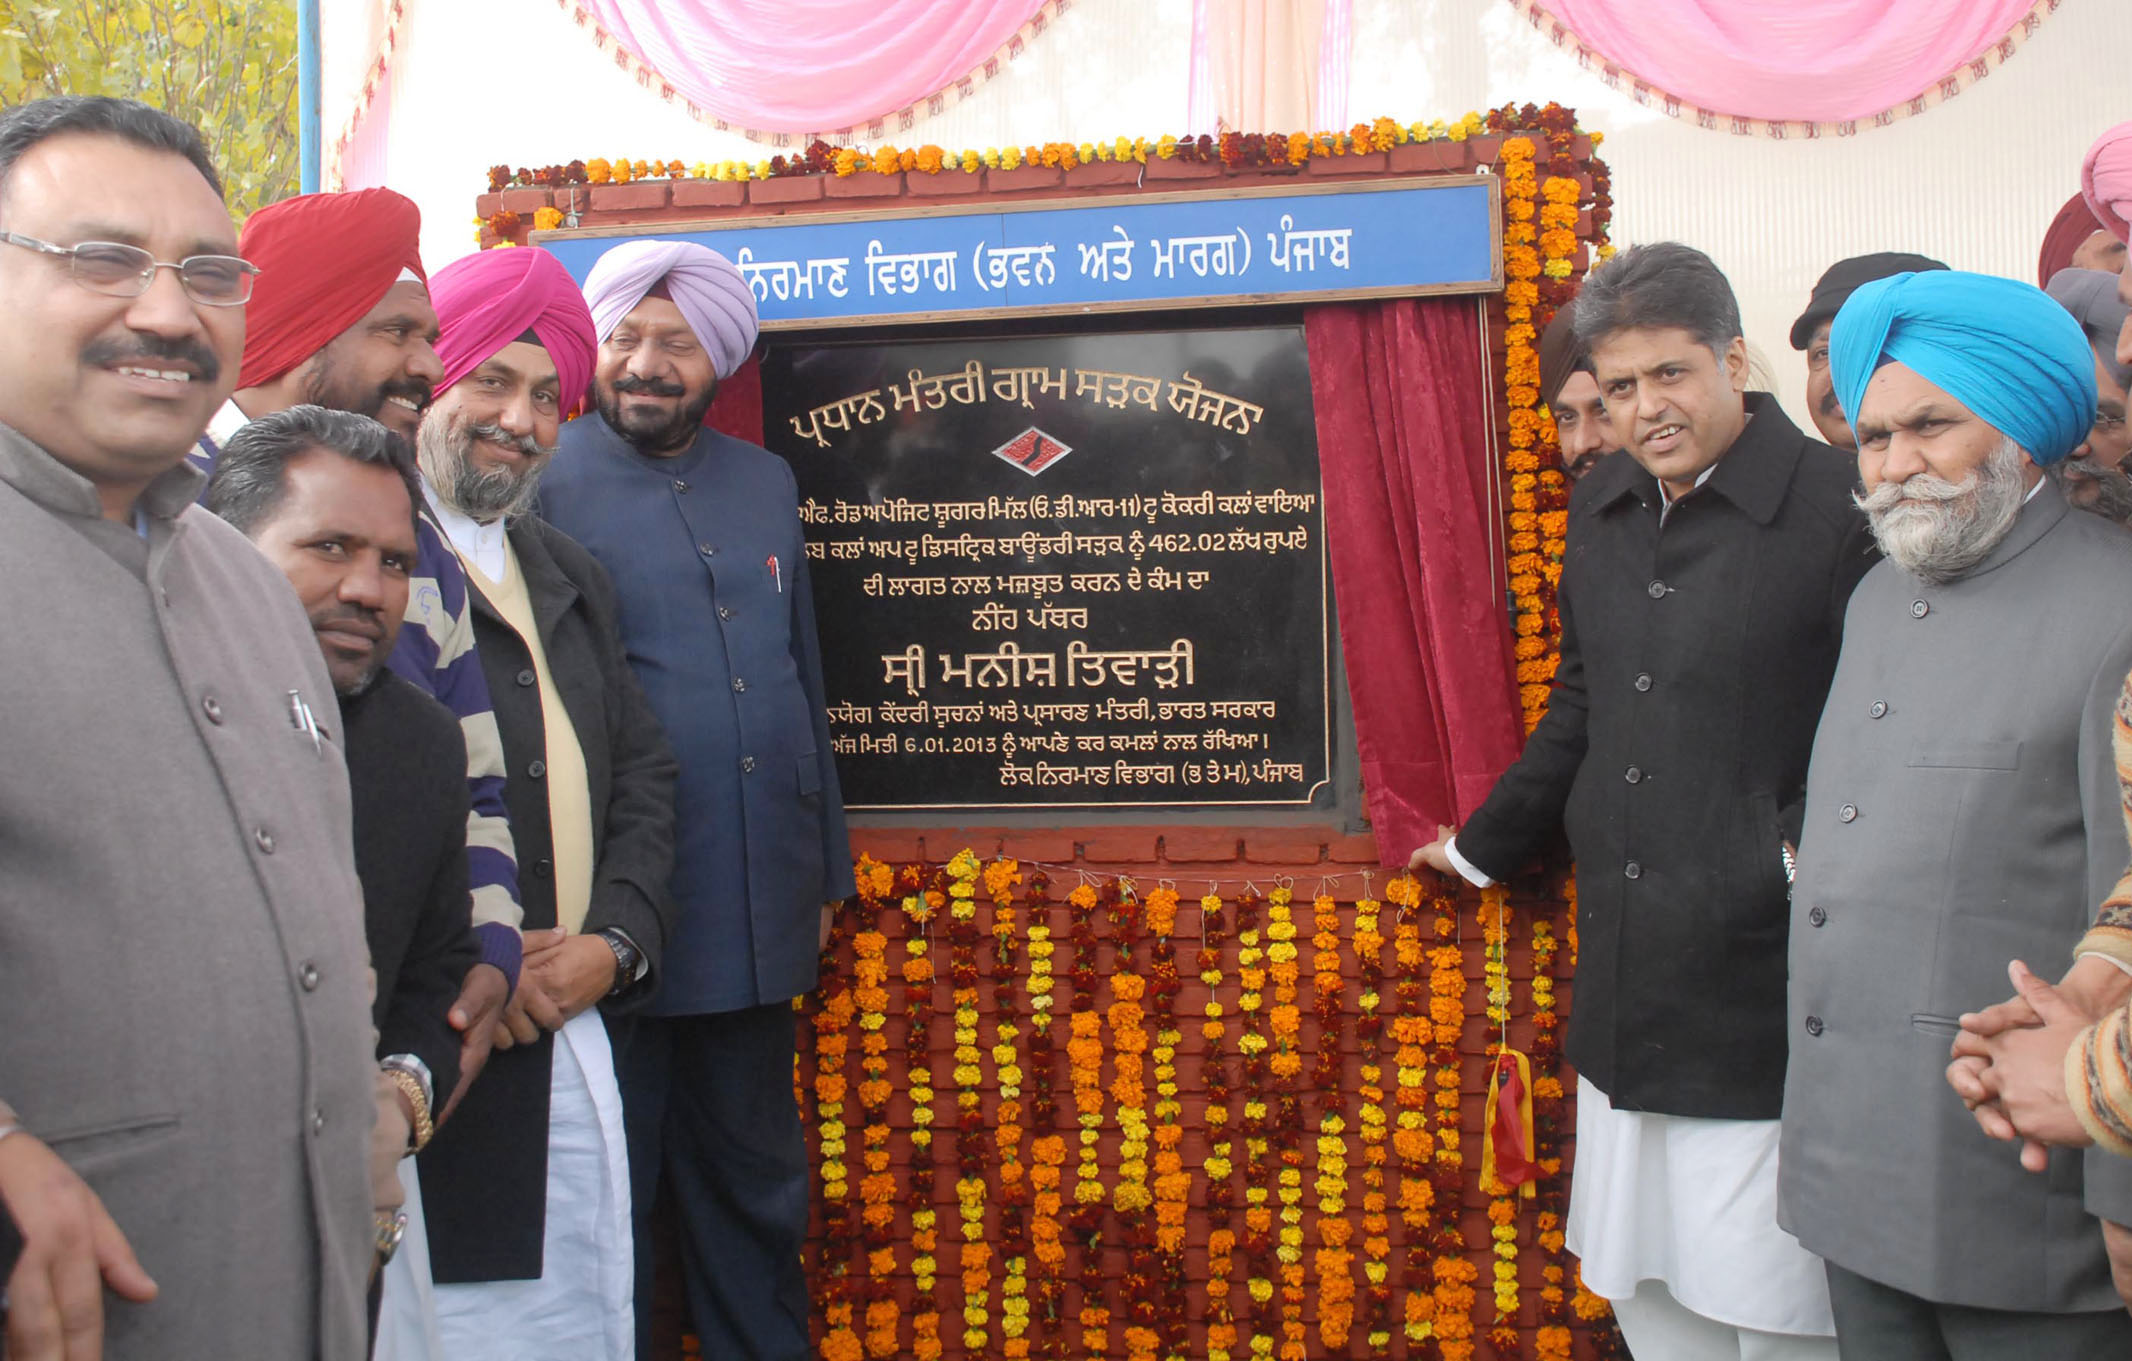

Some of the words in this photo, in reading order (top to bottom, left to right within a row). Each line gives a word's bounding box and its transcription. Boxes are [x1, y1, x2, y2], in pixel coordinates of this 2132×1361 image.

[725, 238, 858, 310] ਨਿਰਮਾਣ
[857, 236, 969, 304] ਵਿਭਾਗ
[981, 237, 1067, 293] ਭਵਨ
[1072, 218, 1141, 289] ਅਤੇ
[1144, 227, 1245, 282] ਮਾਰਗ
[1259, 205, 1358, 281] ਪੰਜਾਬ
[782, 379, 892, 453] ਪ੍ਰਧਾਨ
[881, 355, 994, 421] ਮੰਤਰੀ
[987, 359, 1073, 417] ਗ੍ਰਾਮ
[1070, 362, 1169, 420] ਸੜਕ
[1163, 364, 1269, 443] ਯੋਜਨਾ
[796, 487, 833, 531] ਐਫ.
[833, 493, 863, 527] ਰੋਡ
[862, 491, 932, 527] ਅਪੋਜਿਟ
[931, 493, 987, 532] ਸ਼ੂਗਰ
[985, 490, 1032, 525] ਮਿੱਲ
[1031, 491, 1139, 525] ਓ.ਡੀ.ਆਰ-11
[1141, 491, 1161, 527] ਟੂ
[1158, 485, 1219, 523] ਕੋਕਰੀ
[1215, 486, 1255, 519] ਕਲਾਂ
[1253, 482, 1320, 517] ਵਾਇਆ
[801, 536, 828, 565] ਬ
[827, 530, 867, 564] ਕਲਾਂ
[866, 535, 902, 563] ਅ੫
[903, 533, 921, 570] ਟੂ
[918, 530, 997, 567] ਡਿਸਟ੍ਰਿਕ
[995, 528, 1075, 565] ਬਾਊਂਡਰੀ
[1074, 532, 1127, 563] ਸੜਕ
[1125, 525, 1148, 564] ਨੂੰ
[1146, 528, 1228, 556] 462.02
[1226, 521, 1263, 555] ਲੱਖ
[1262, 520, 1311, 561] ਰੁਪਏ
[857, 569, 885, 601] ਦੀ
[883, 570, 950, 601] ਲਾਗਤ
[946, 571, 995, 602] ਨਾਲ
[993, 569, 1069, 602] ਮਜ਼ਬੂਤ
[1067, 567, 1127, 595] ਕਰਨ
[1123, 563, 1146, 595] ਦੇ
[1145, 561, 1187, 596] ਕੰਮ
[1183, 565, 1213, 594] ਦਾ
[965, 599, 1022, 638] ਨੀਹ
[1021, 598, 1093, 637] ਪੱਥਰ
[875, 635, 934, 698] ਸ੍ਰੀ
[933, 635, 1064, 696] ਮਨੀਸ਼
[1061, 633, 1202, 698] ਤਿਵਾੜੀ
[827, 693, 875, 731] ਨਯੋਗ
[875, 697, 932, 729] ਕੇਦਈ
[930, 697, 985, 732] ਸੂਰਨਾਂ
[986, 697, 1023, 730] ਅਤੇ
[1019, 695, 1094, 728] ਪ੍ਰਸਾਰਣ
[1091, 694, 1153, 723] ਮੰਤਰੀ,
[1155, 697, 1209, 721] ਭਾਰਤ
[1208, 696, 1281, 725] ਸਰਕਾਰ
[831, 729, 857, 760] ਮੱਜ
[856, 731, 903, 758] ਮਿਤੀ
[901, 732, 1001, 757] 6.01.2013
[999, 729, 1021, 763] ਨੂੰ
[1017, 727, 1074, 757] ਆਪਣੇ
[1073, 729, 1107, 755] ਕਰ
[1106, 727, 1162, 757] ਕਮਲਾਂ
[1160, 731, 1201, 757] ਨਾਲ
[1199, 725, 1263, 755] ਰੱਖਿਆ
[995, 759, 1035, 791] ਲੋਕ
[1035, 757, 1113, 789] ਨਿਰਮਾਣ
[1113, 757, 1181, 791] ਵਿਭਾਗ
[1183, 756, 1247, 788] (ਭ ਤੇ ਮ)
[1249, 755, 1308, 790] ਪੰਜਾਬ